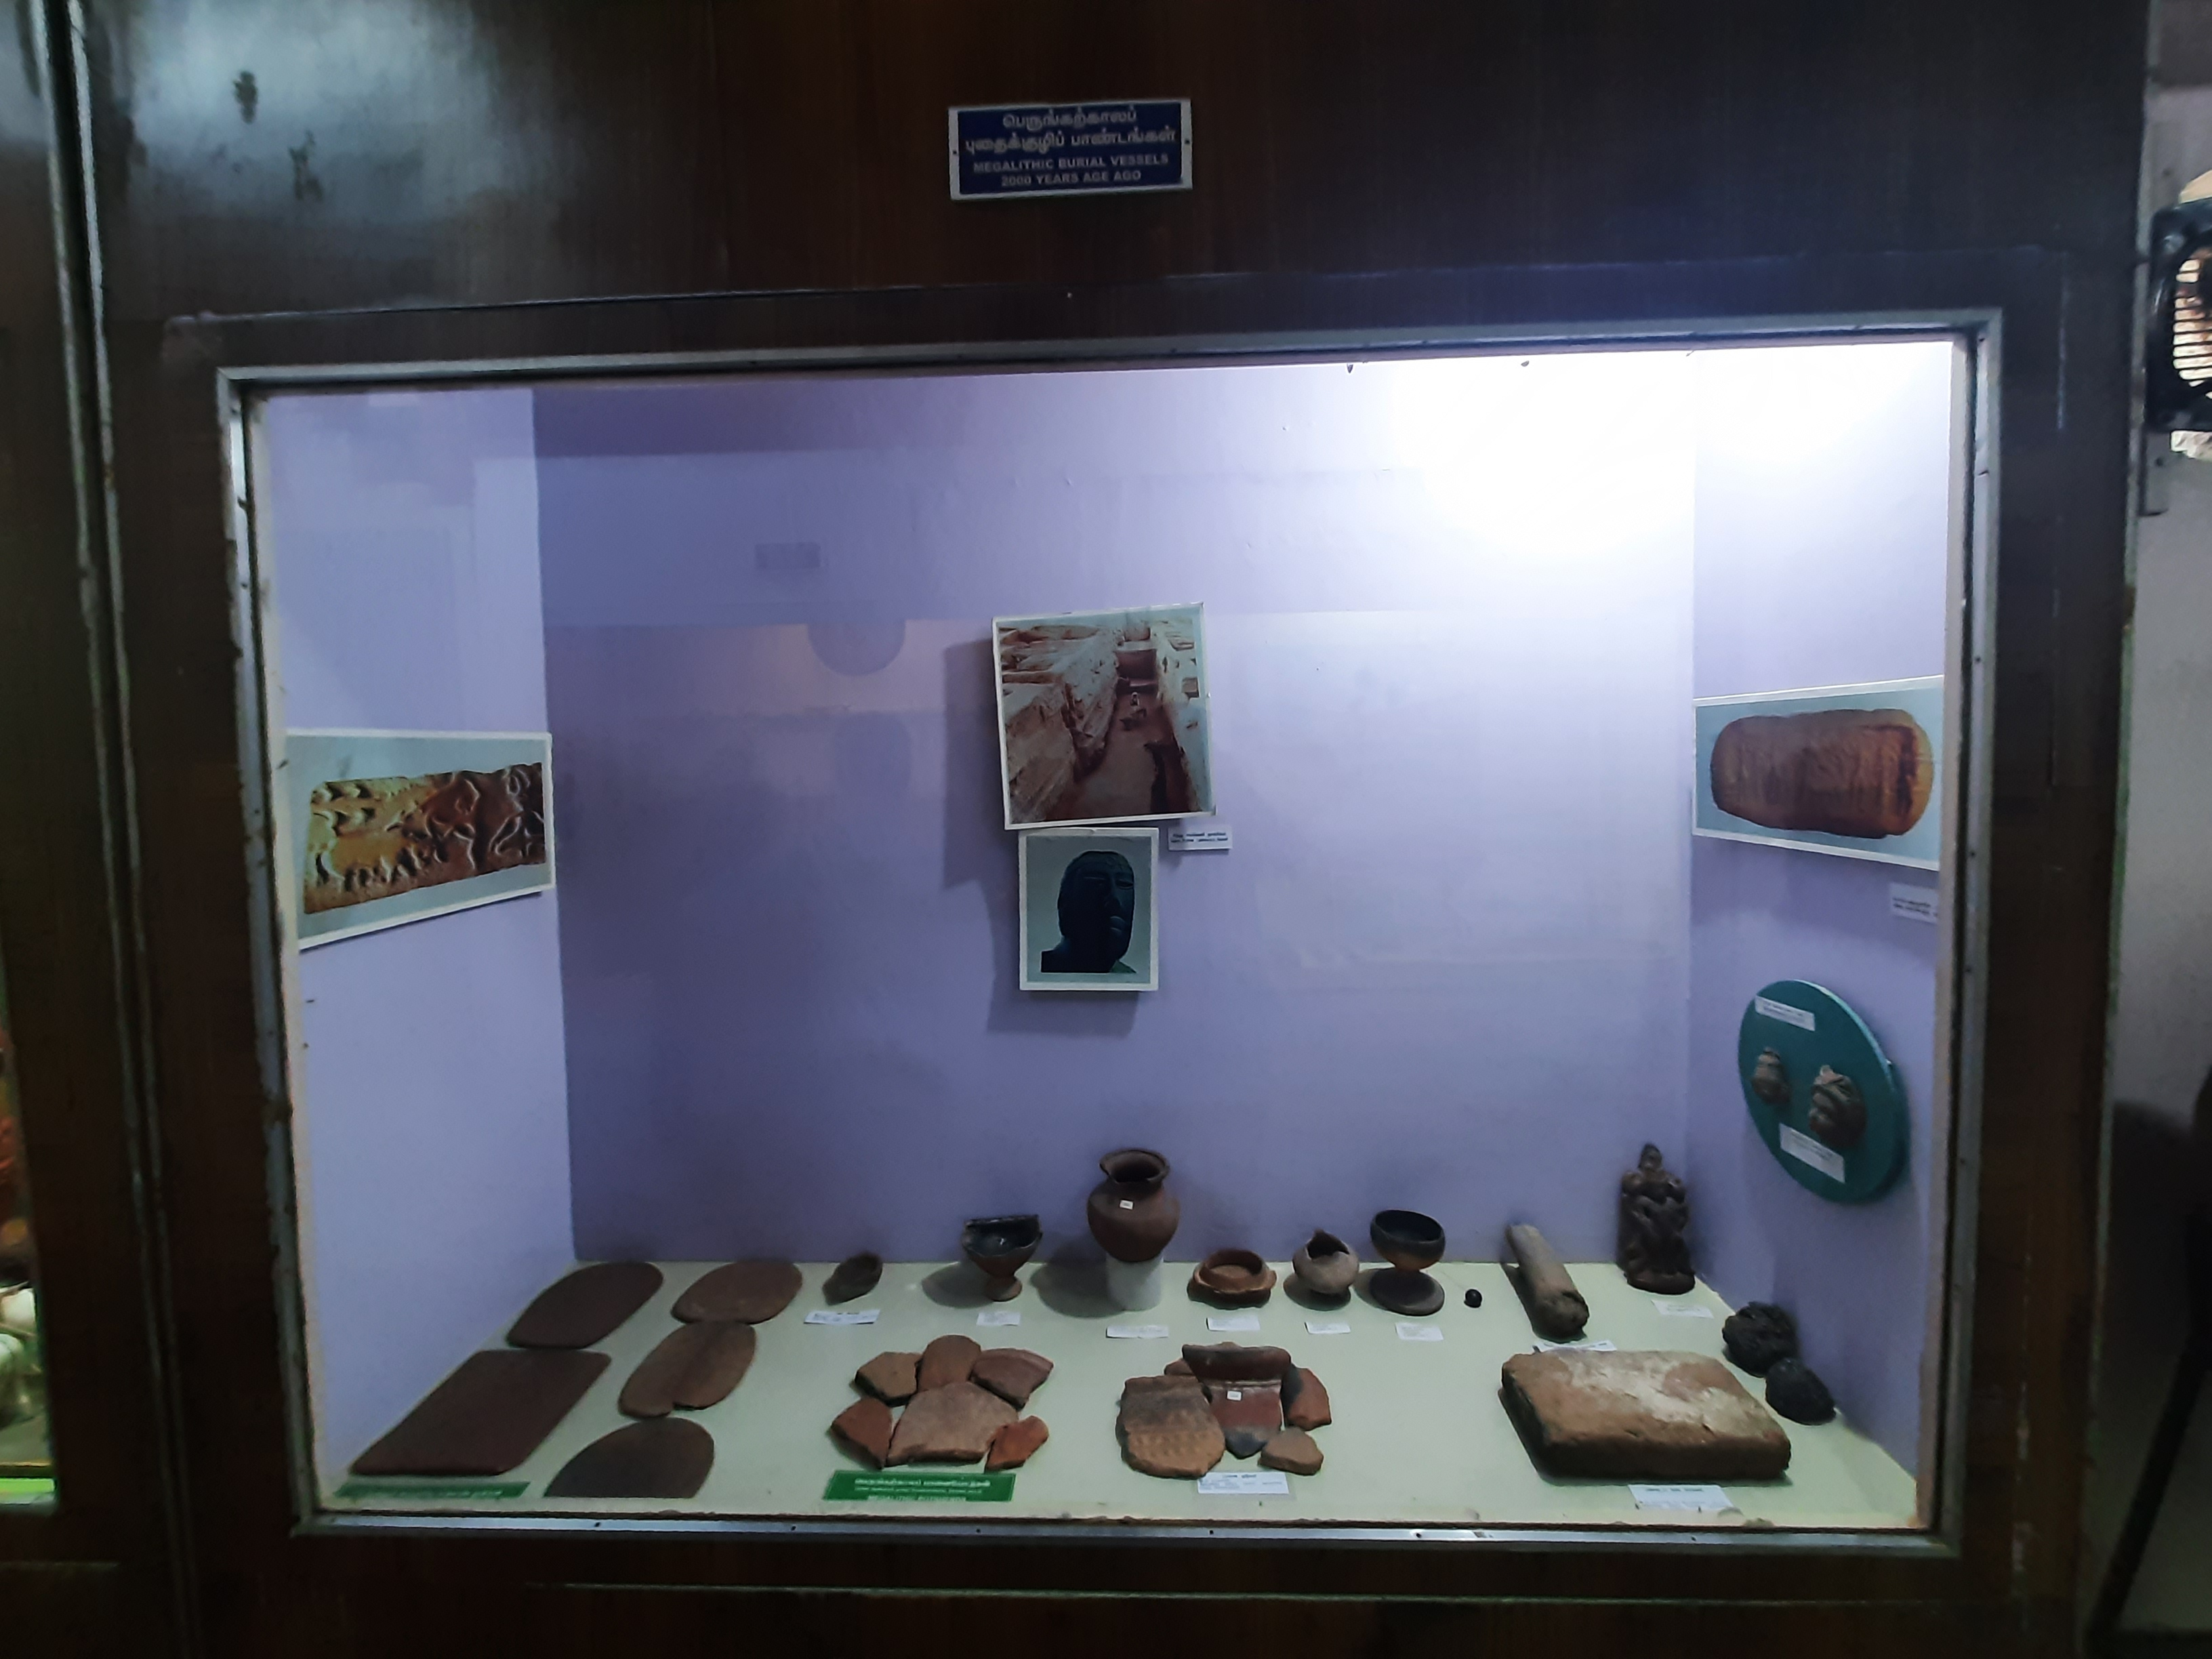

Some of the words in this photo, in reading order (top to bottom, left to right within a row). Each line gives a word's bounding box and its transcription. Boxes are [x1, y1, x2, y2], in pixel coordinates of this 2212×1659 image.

[1000, 102, 1142, 135] பெருங்கற்காலப்
[965, 127, 1069, 158] புதைக்குழிப்
[1069, 121, 1181, 152] பாண்டங்கள்.
[971, 157, 1057, 176] MEGALITHIC
[1057, 155, 1109, 172] BURIAL
[1107, 150, 1173, 170] VESSELS
[997, 173, 1035, 192] 2000
[1033, 169, 1082, 188] YEARS
[1079, 169, 1111, 186] AGE
[1111, 167, 1145, 186] AGO